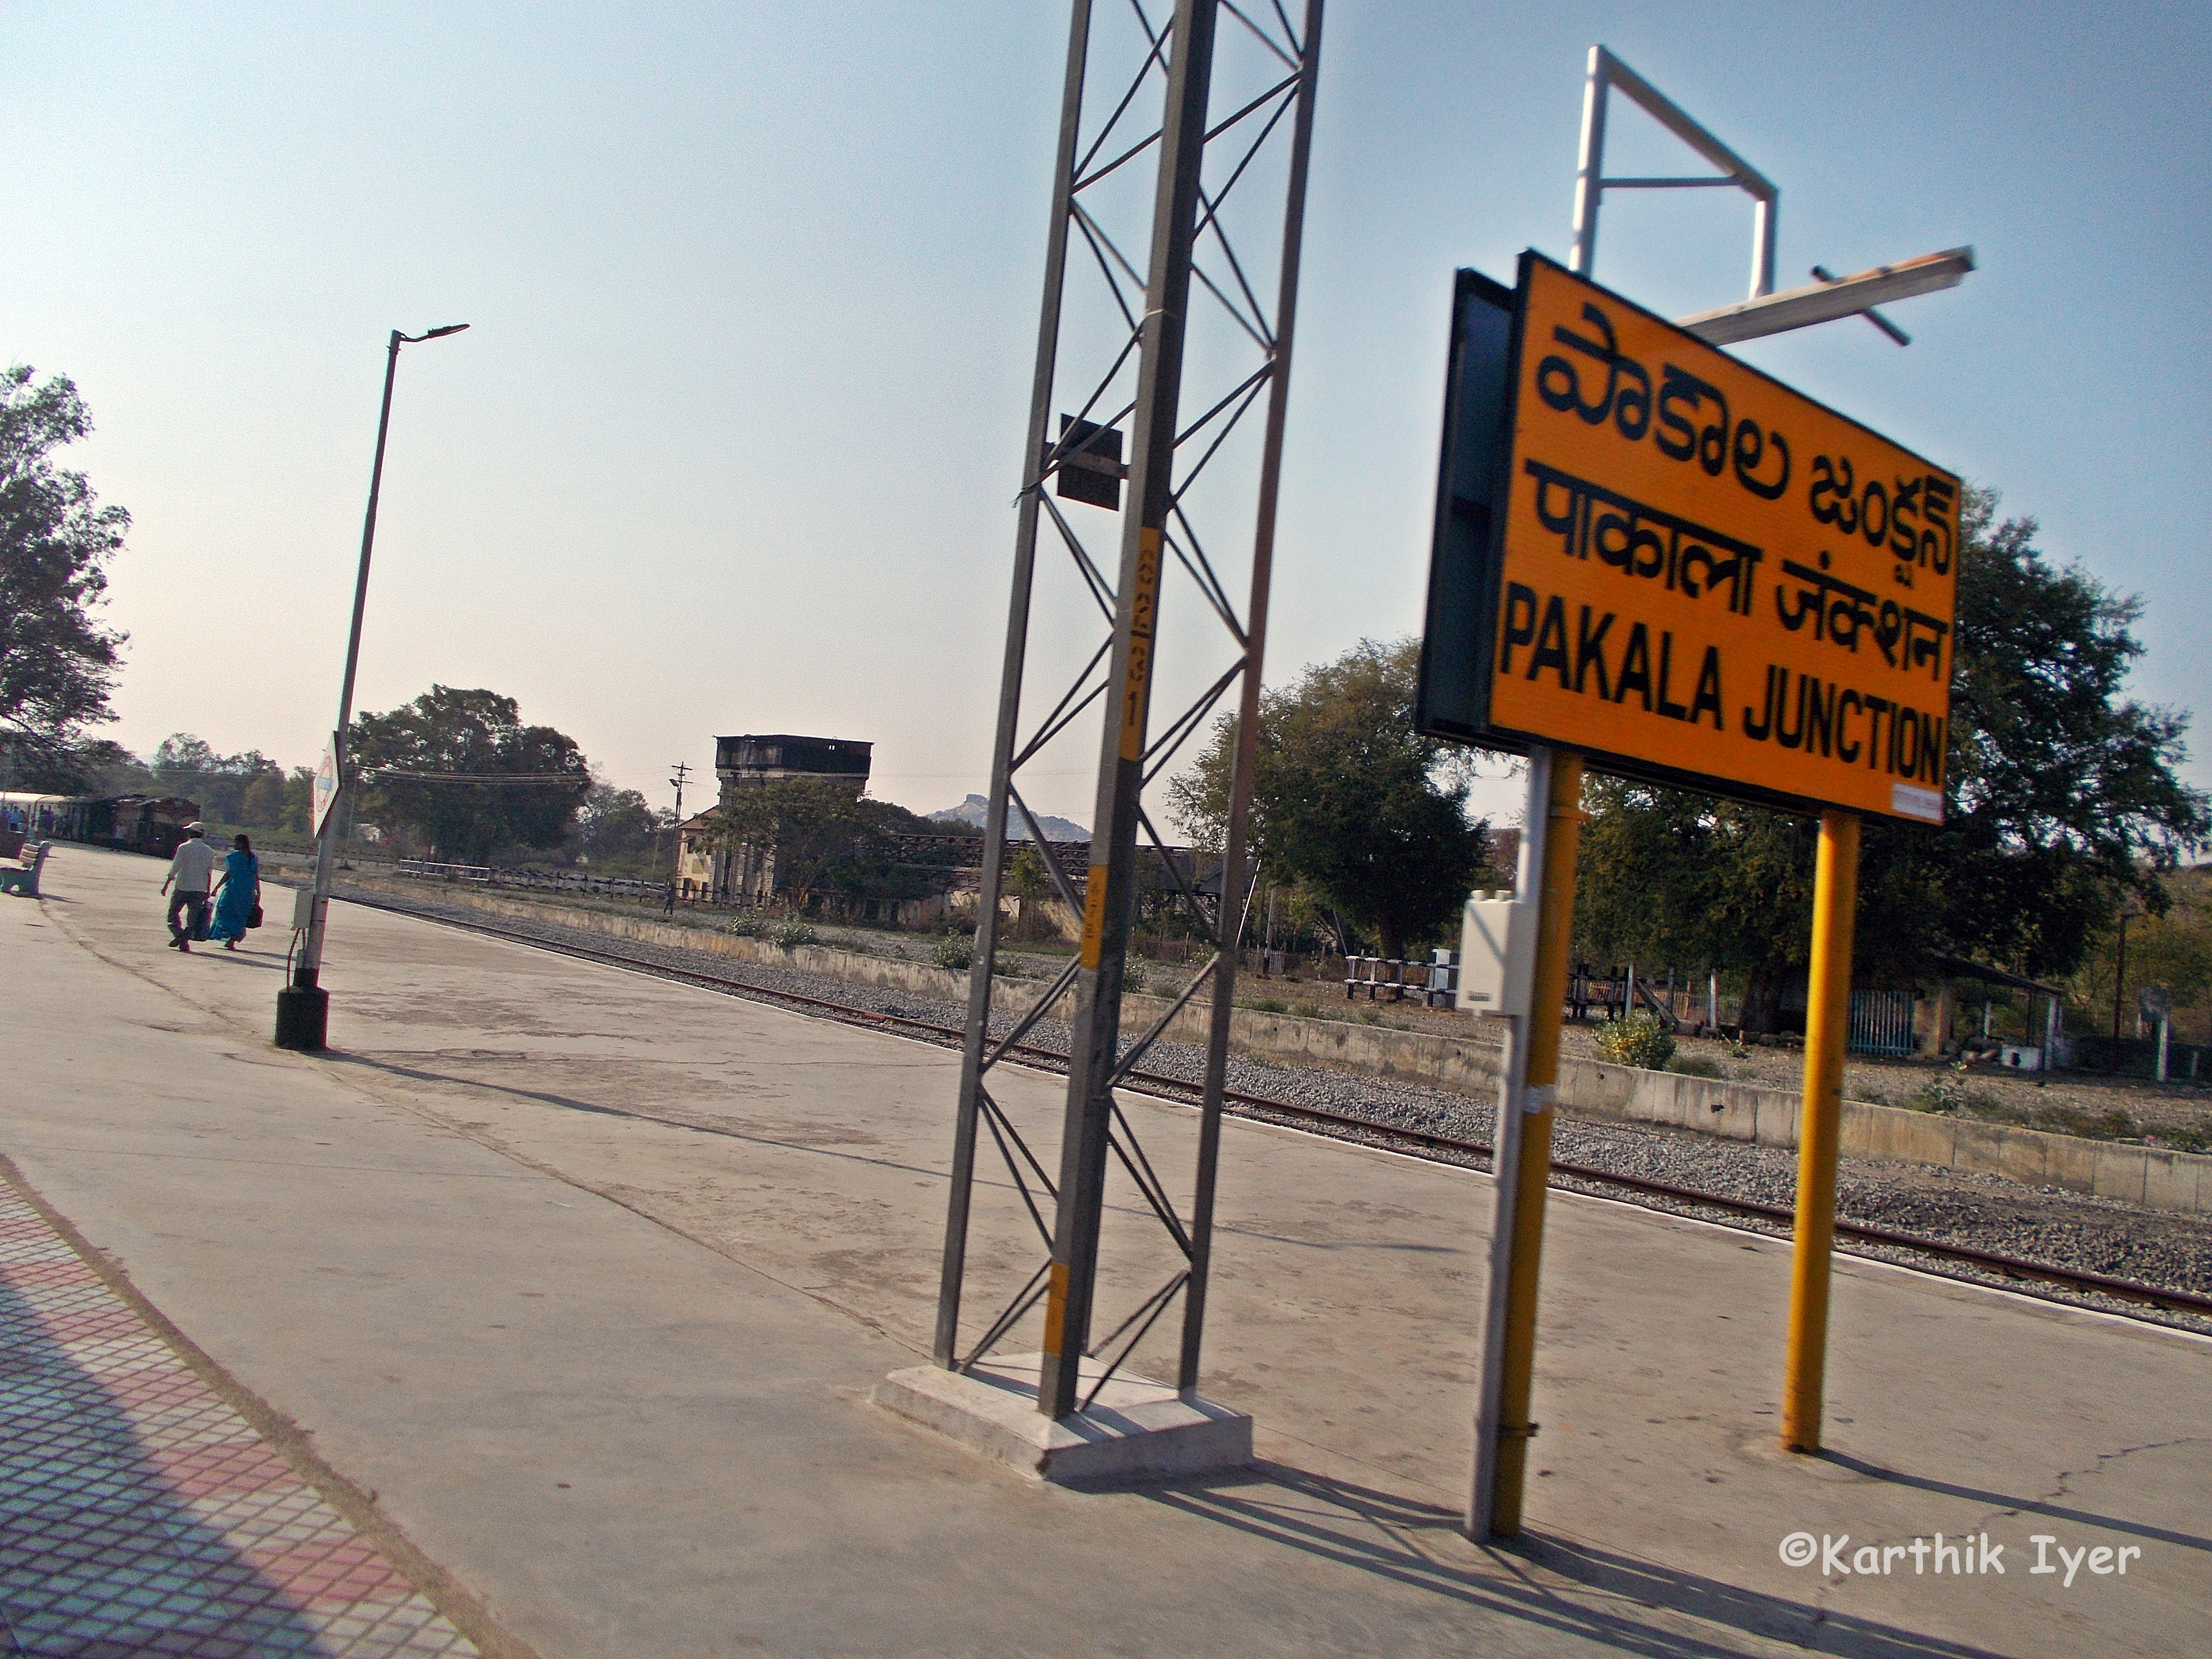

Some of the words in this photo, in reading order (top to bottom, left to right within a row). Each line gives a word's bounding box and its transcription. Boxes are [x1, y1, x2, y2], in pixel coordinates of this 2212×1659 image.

[1531, 292, 1794, 511] పాకాల
[1499, 568, 1729, 736] PAKALA
[1527, 457, 1768, 621] पाकाला
[1735, 660, 1950, 793] JUNCTION
[1760, 544, 1952, 688] जंक्शन
[1804, 436, 1960, 594] జంక్షన్
[1811, 1525, 2011, 1579] Karthik
[2027, 1530, 2140, 1591] Iyer